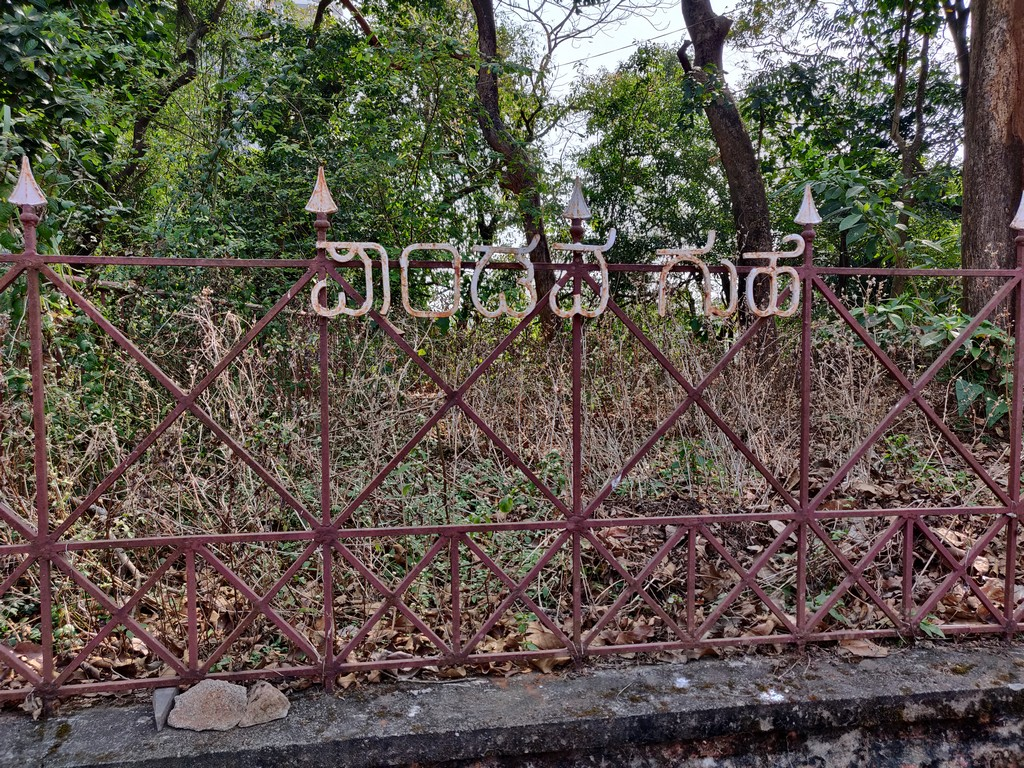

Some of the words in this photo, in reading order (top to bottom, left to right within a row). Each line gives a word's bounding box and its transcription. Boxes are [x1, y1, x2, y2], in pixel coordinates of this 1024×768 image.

[653, 224, 811, 322] ಗುಹ